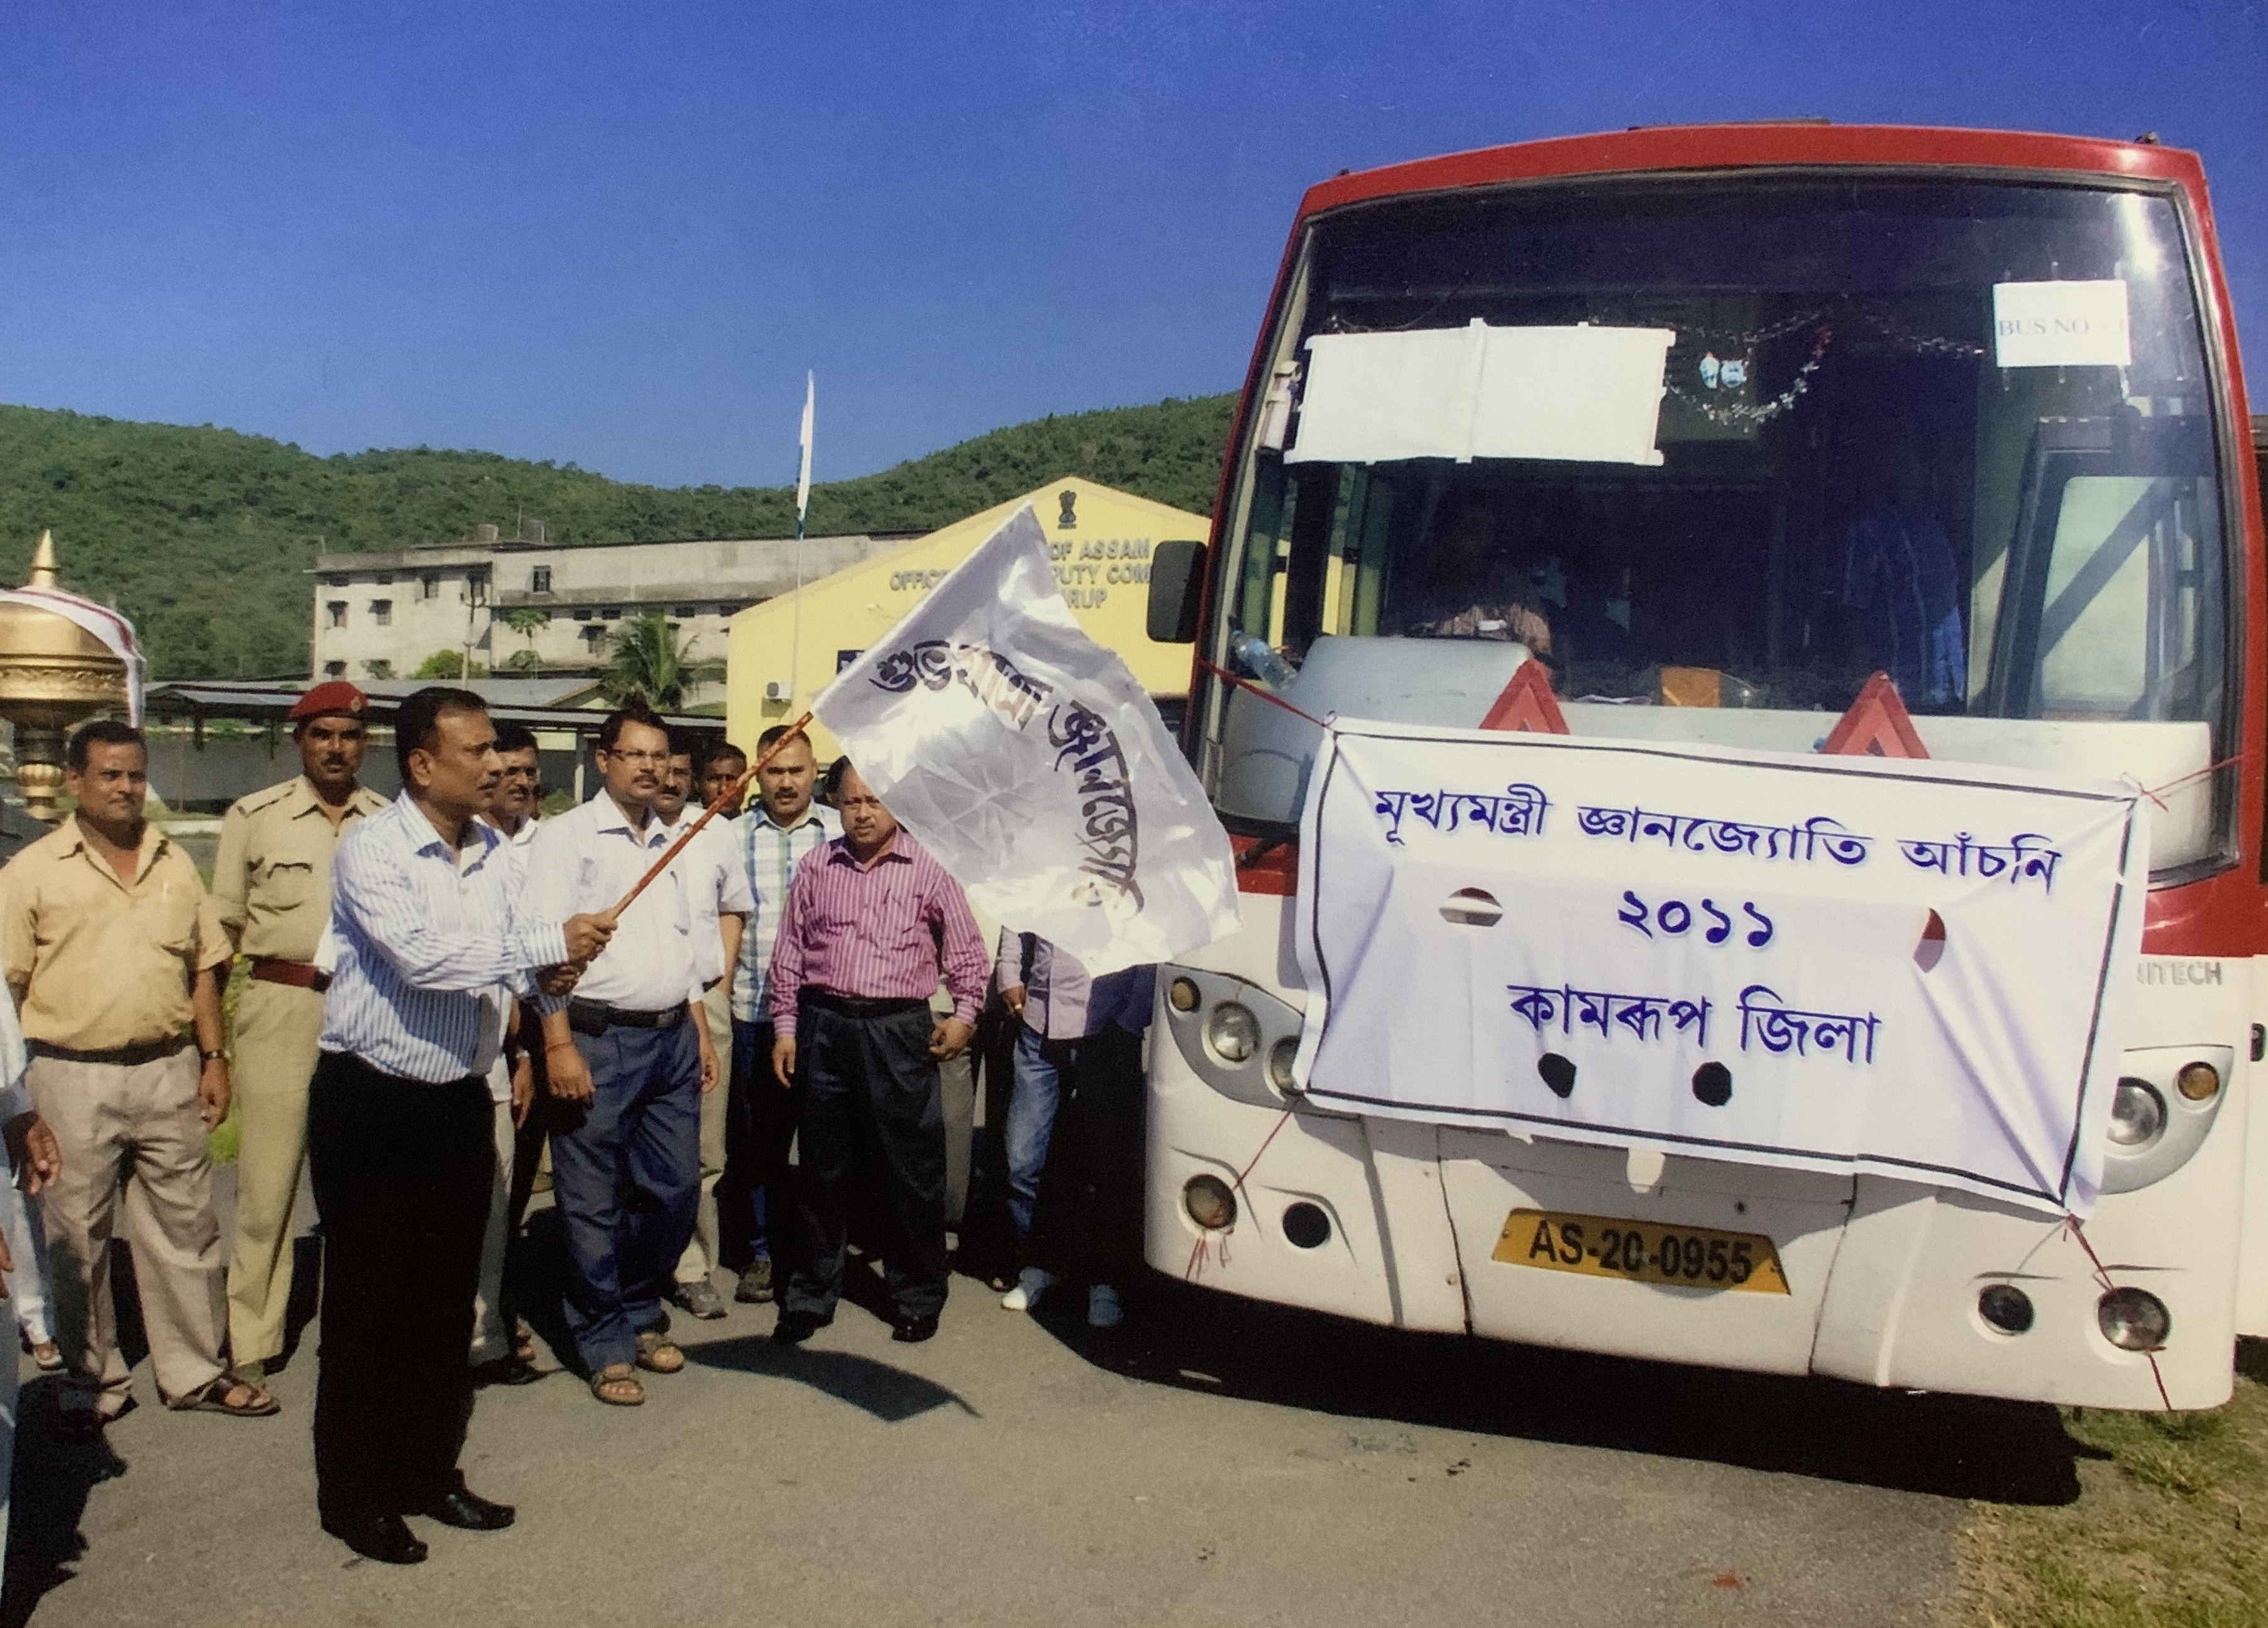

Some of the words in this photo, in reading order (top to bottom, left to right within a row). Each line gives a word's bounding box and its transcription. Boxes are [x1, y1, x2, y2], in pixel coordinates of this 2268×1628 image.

[1045, 533, 1077, 568] OF
[1079, 532, 1157, 564] ASSAM
[1041, 689, 1154, 920] জ্ঞানজ্যোতি
[1372, 776, 1562, 851] মূখ্যমন্ত্ৰী
[1569, 801, 1880, 871] জ্ঞানজ্যোতি
[1896, 823, 2067, 895] আঁচনি
[1615, 883, 1774, 949] ২০১১
[1498, 972, 1719, 1053] কামৰূপ
[1731, 982, 1883, 1073] জিলা
[1517, 1214, 1760, 1292] AS-20-0955